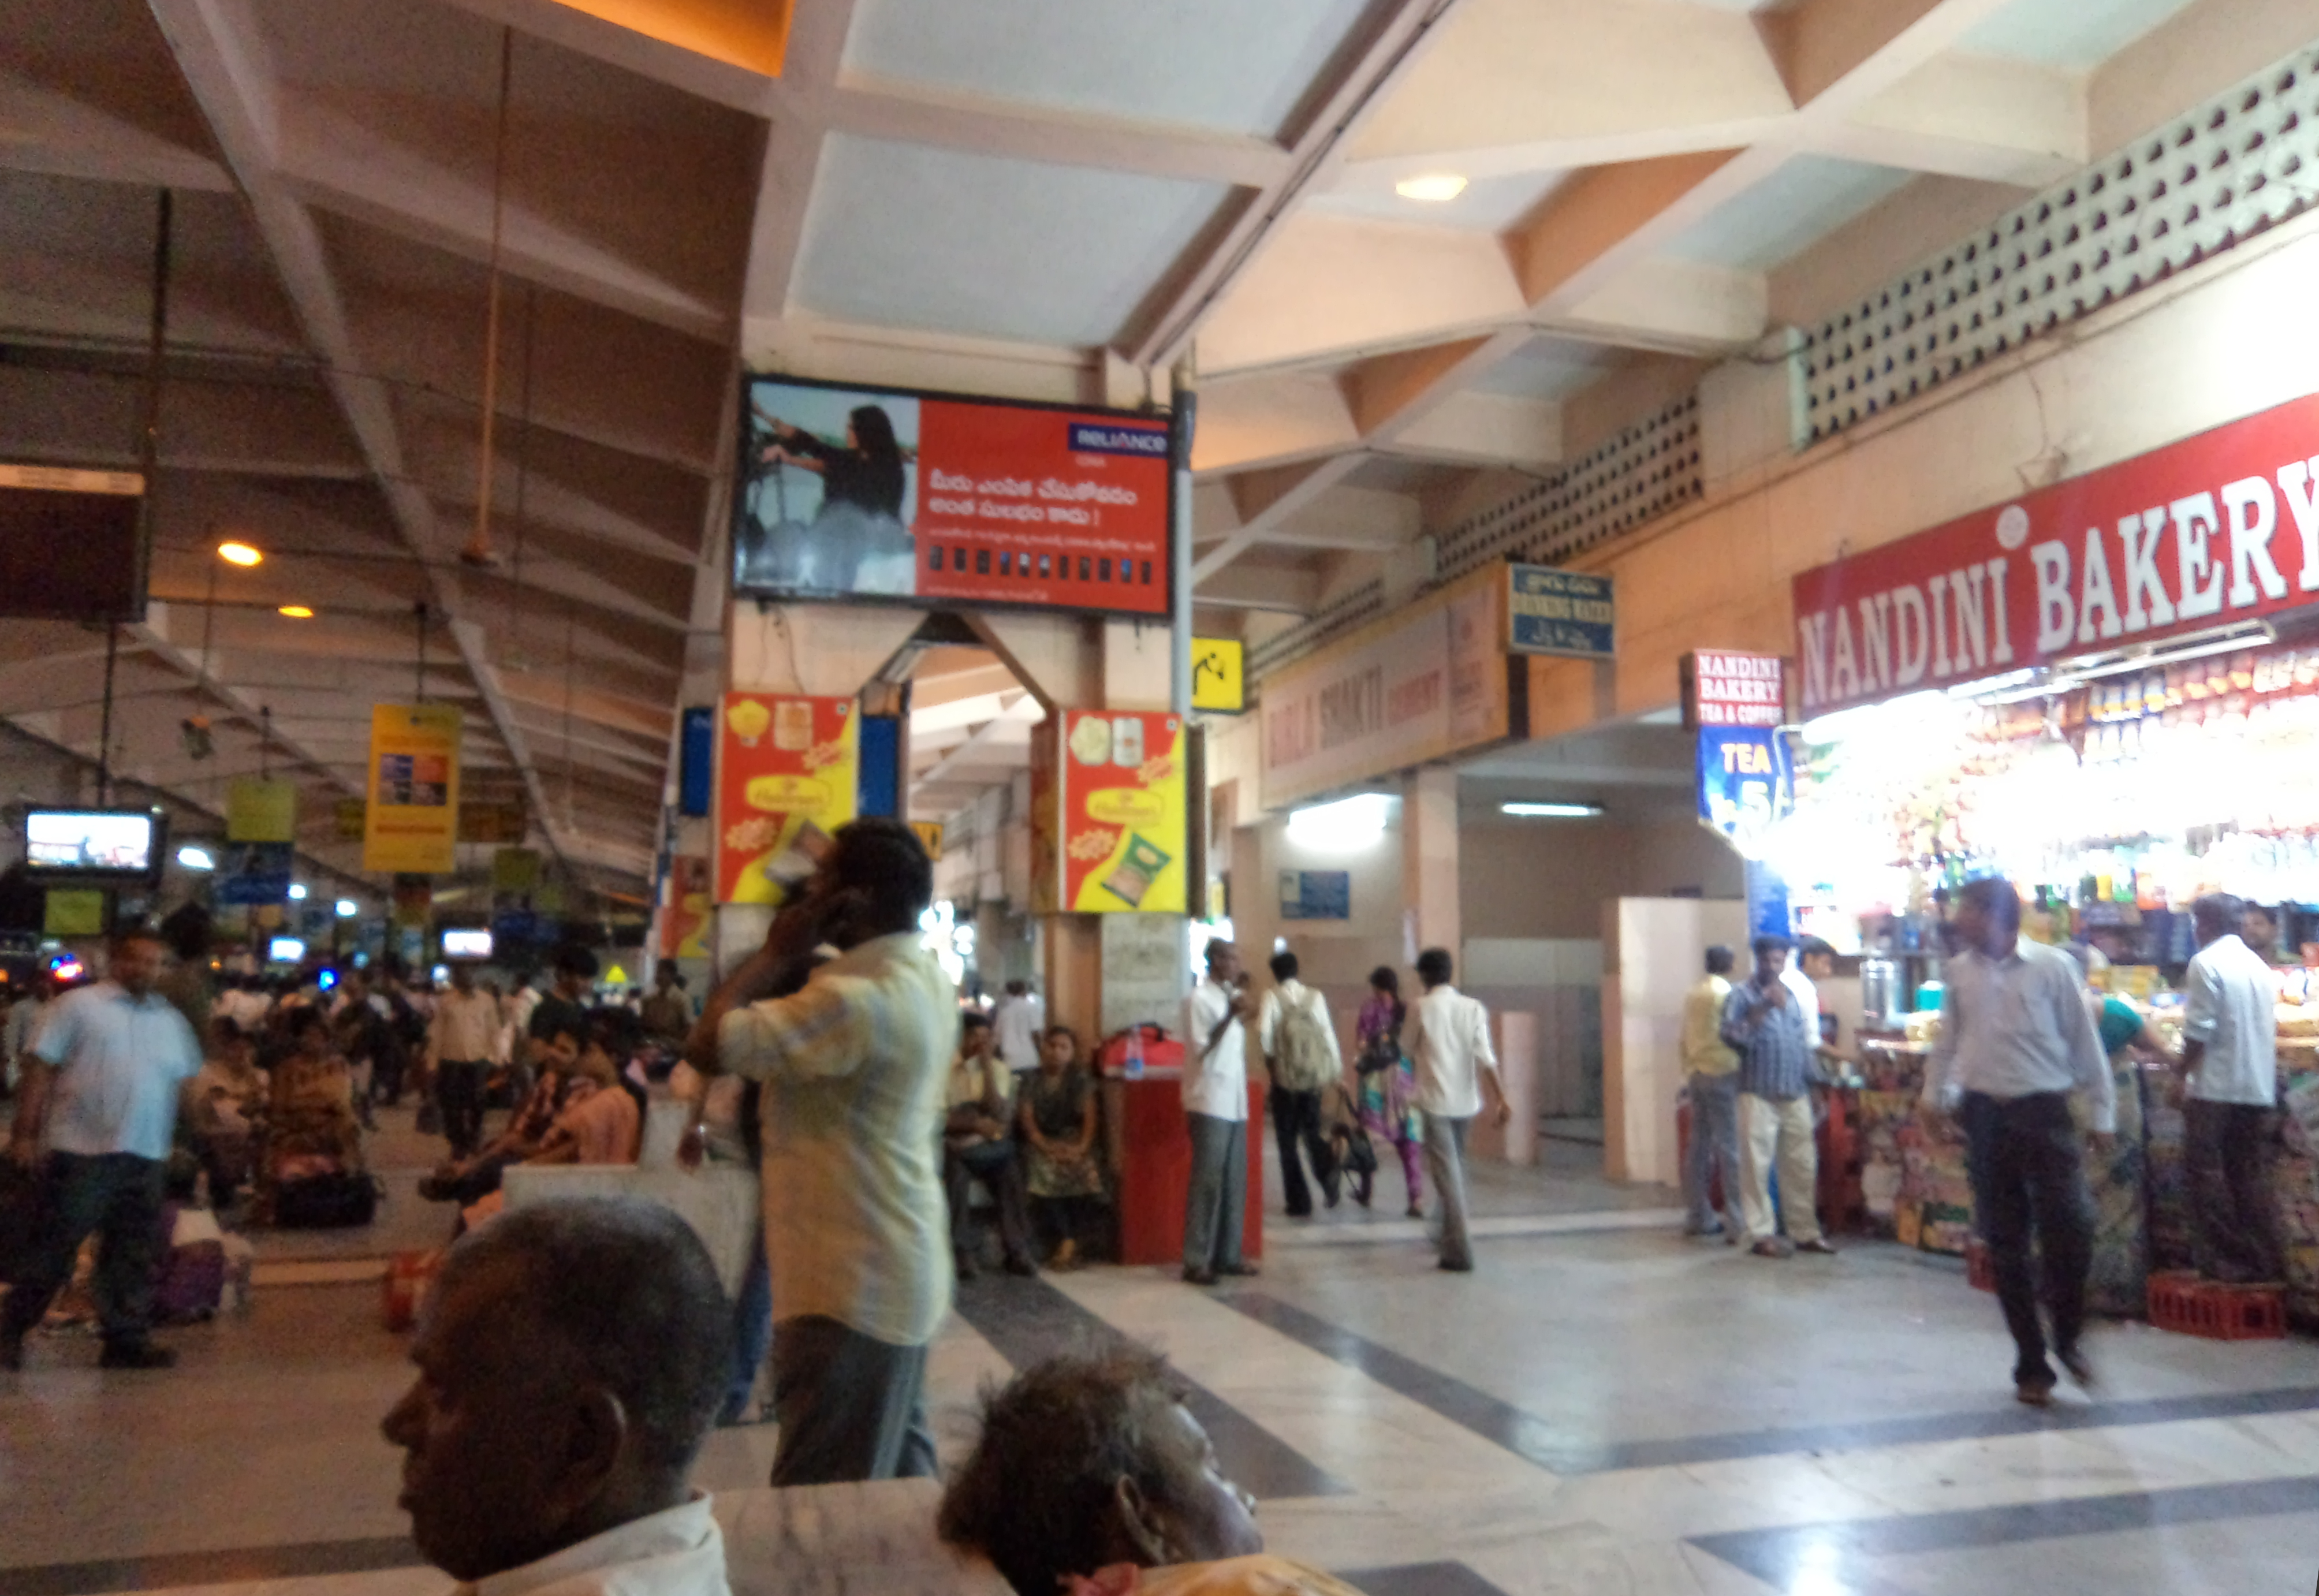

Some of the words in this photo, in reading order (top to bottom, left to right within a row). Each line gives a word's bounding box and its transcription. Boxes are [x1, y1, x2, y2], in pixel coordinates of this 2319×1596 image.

[1071, 424, 1169, 456] RELIANCE
[971, 472, 1035, 502] ఎంపిక
[2025, 453, 2316, 658] BAKERY
[1789, 553, 2016, 711] NANDINI
[1691, 651, 1784, 683] NANDINI
[1696, 675, 1784, 706] BAKERY
[1697, 699, 1727, 726] TEA
[1736, 698, 1788, 729] COFFEE
[1722, 739, 1776, 780] TEA